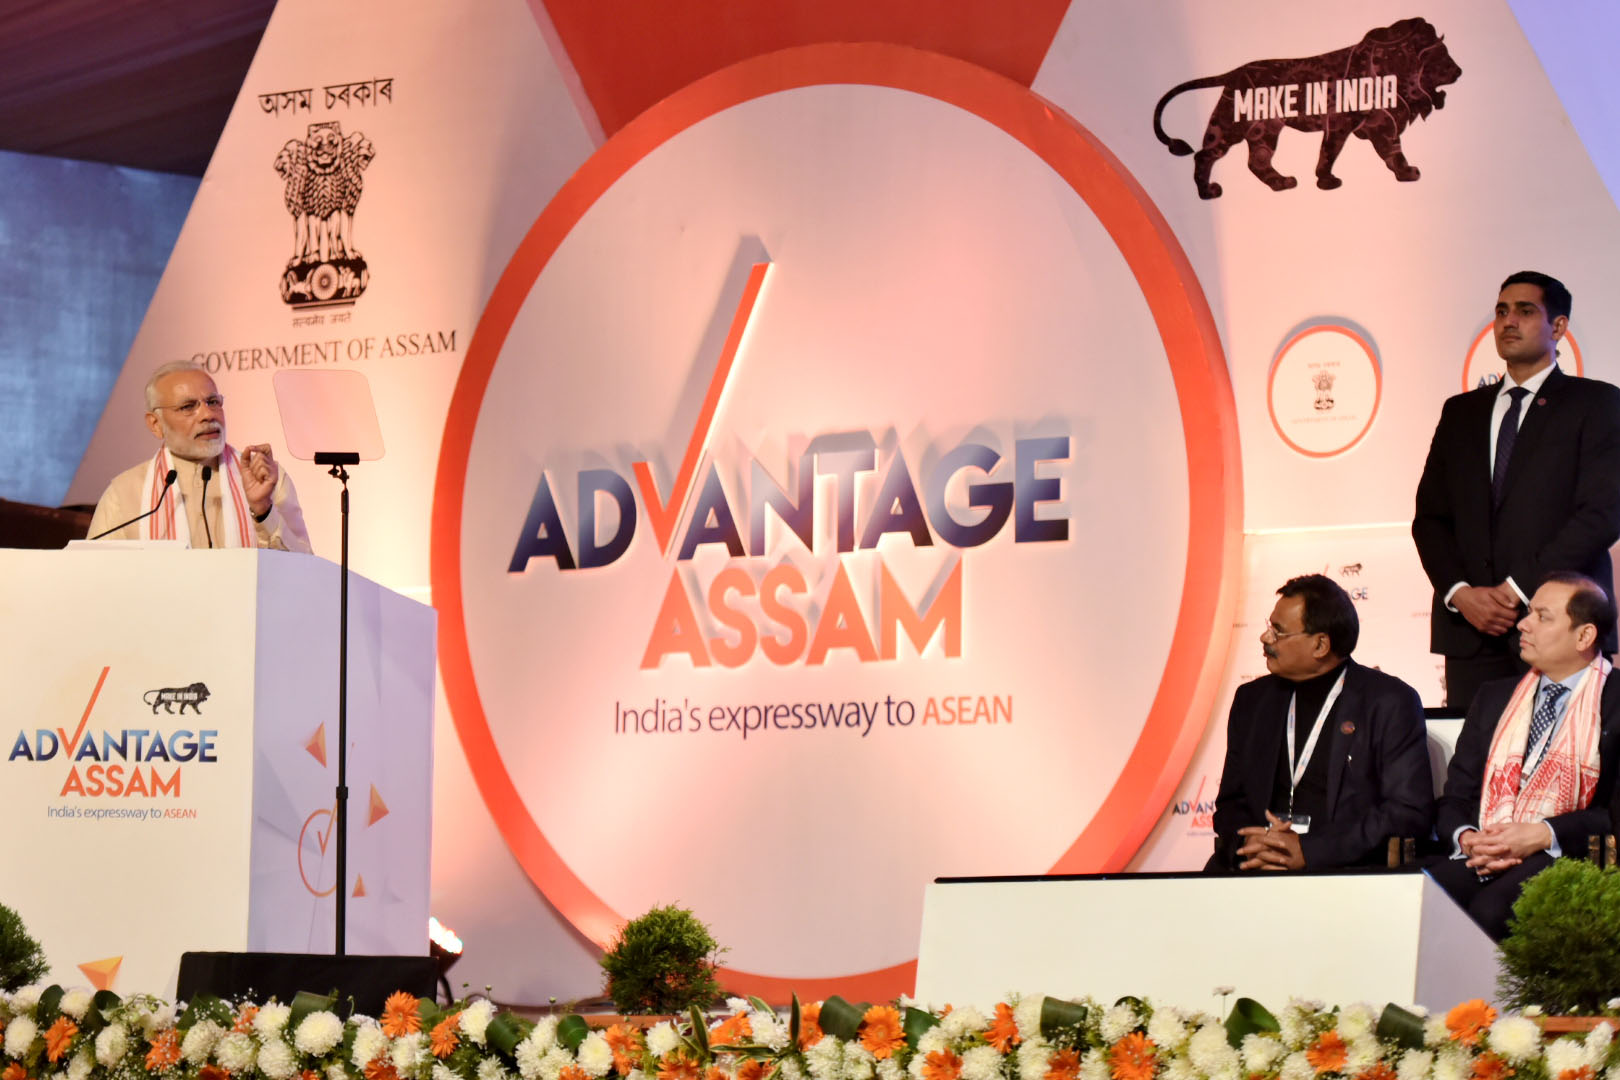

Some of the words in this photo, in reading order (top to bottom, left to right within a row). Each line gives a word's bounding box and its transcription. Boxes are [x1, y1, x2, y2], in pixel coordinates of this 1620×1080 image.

[254, 80, 317, 123] অসম
[317, 69, 399, 115] চৰকাৰ
[1225, 79, 1305, 129] MAKE
[1298, 75, 1336, 122] IN
[1330, 66, 1404, 119] INDIA
[185, 337, 345, 379] GOVERNMENT
[340, 335, 373, 364] OF
[380, 327, 457, 358] ASSAM
[496, 427, 1085, 581] ADVANTAGE
[638, 555, 971, 672] ASSAM
[607, 689, 711, 740] India
[704, 687, 888, 746] expressway
[875, 690, 921, 735] to
[920, 690, 1015, 731] ASEAN
[5, 715, 224, 772] ADVANTAGE
[56, 760, 188, 800] ASSAM
[45, 804, 81, 819] India
[81, 801, 155, 827] expresswayt
[145, 800, 169, 824] to
[159, 803, 201, 825] ASEAN